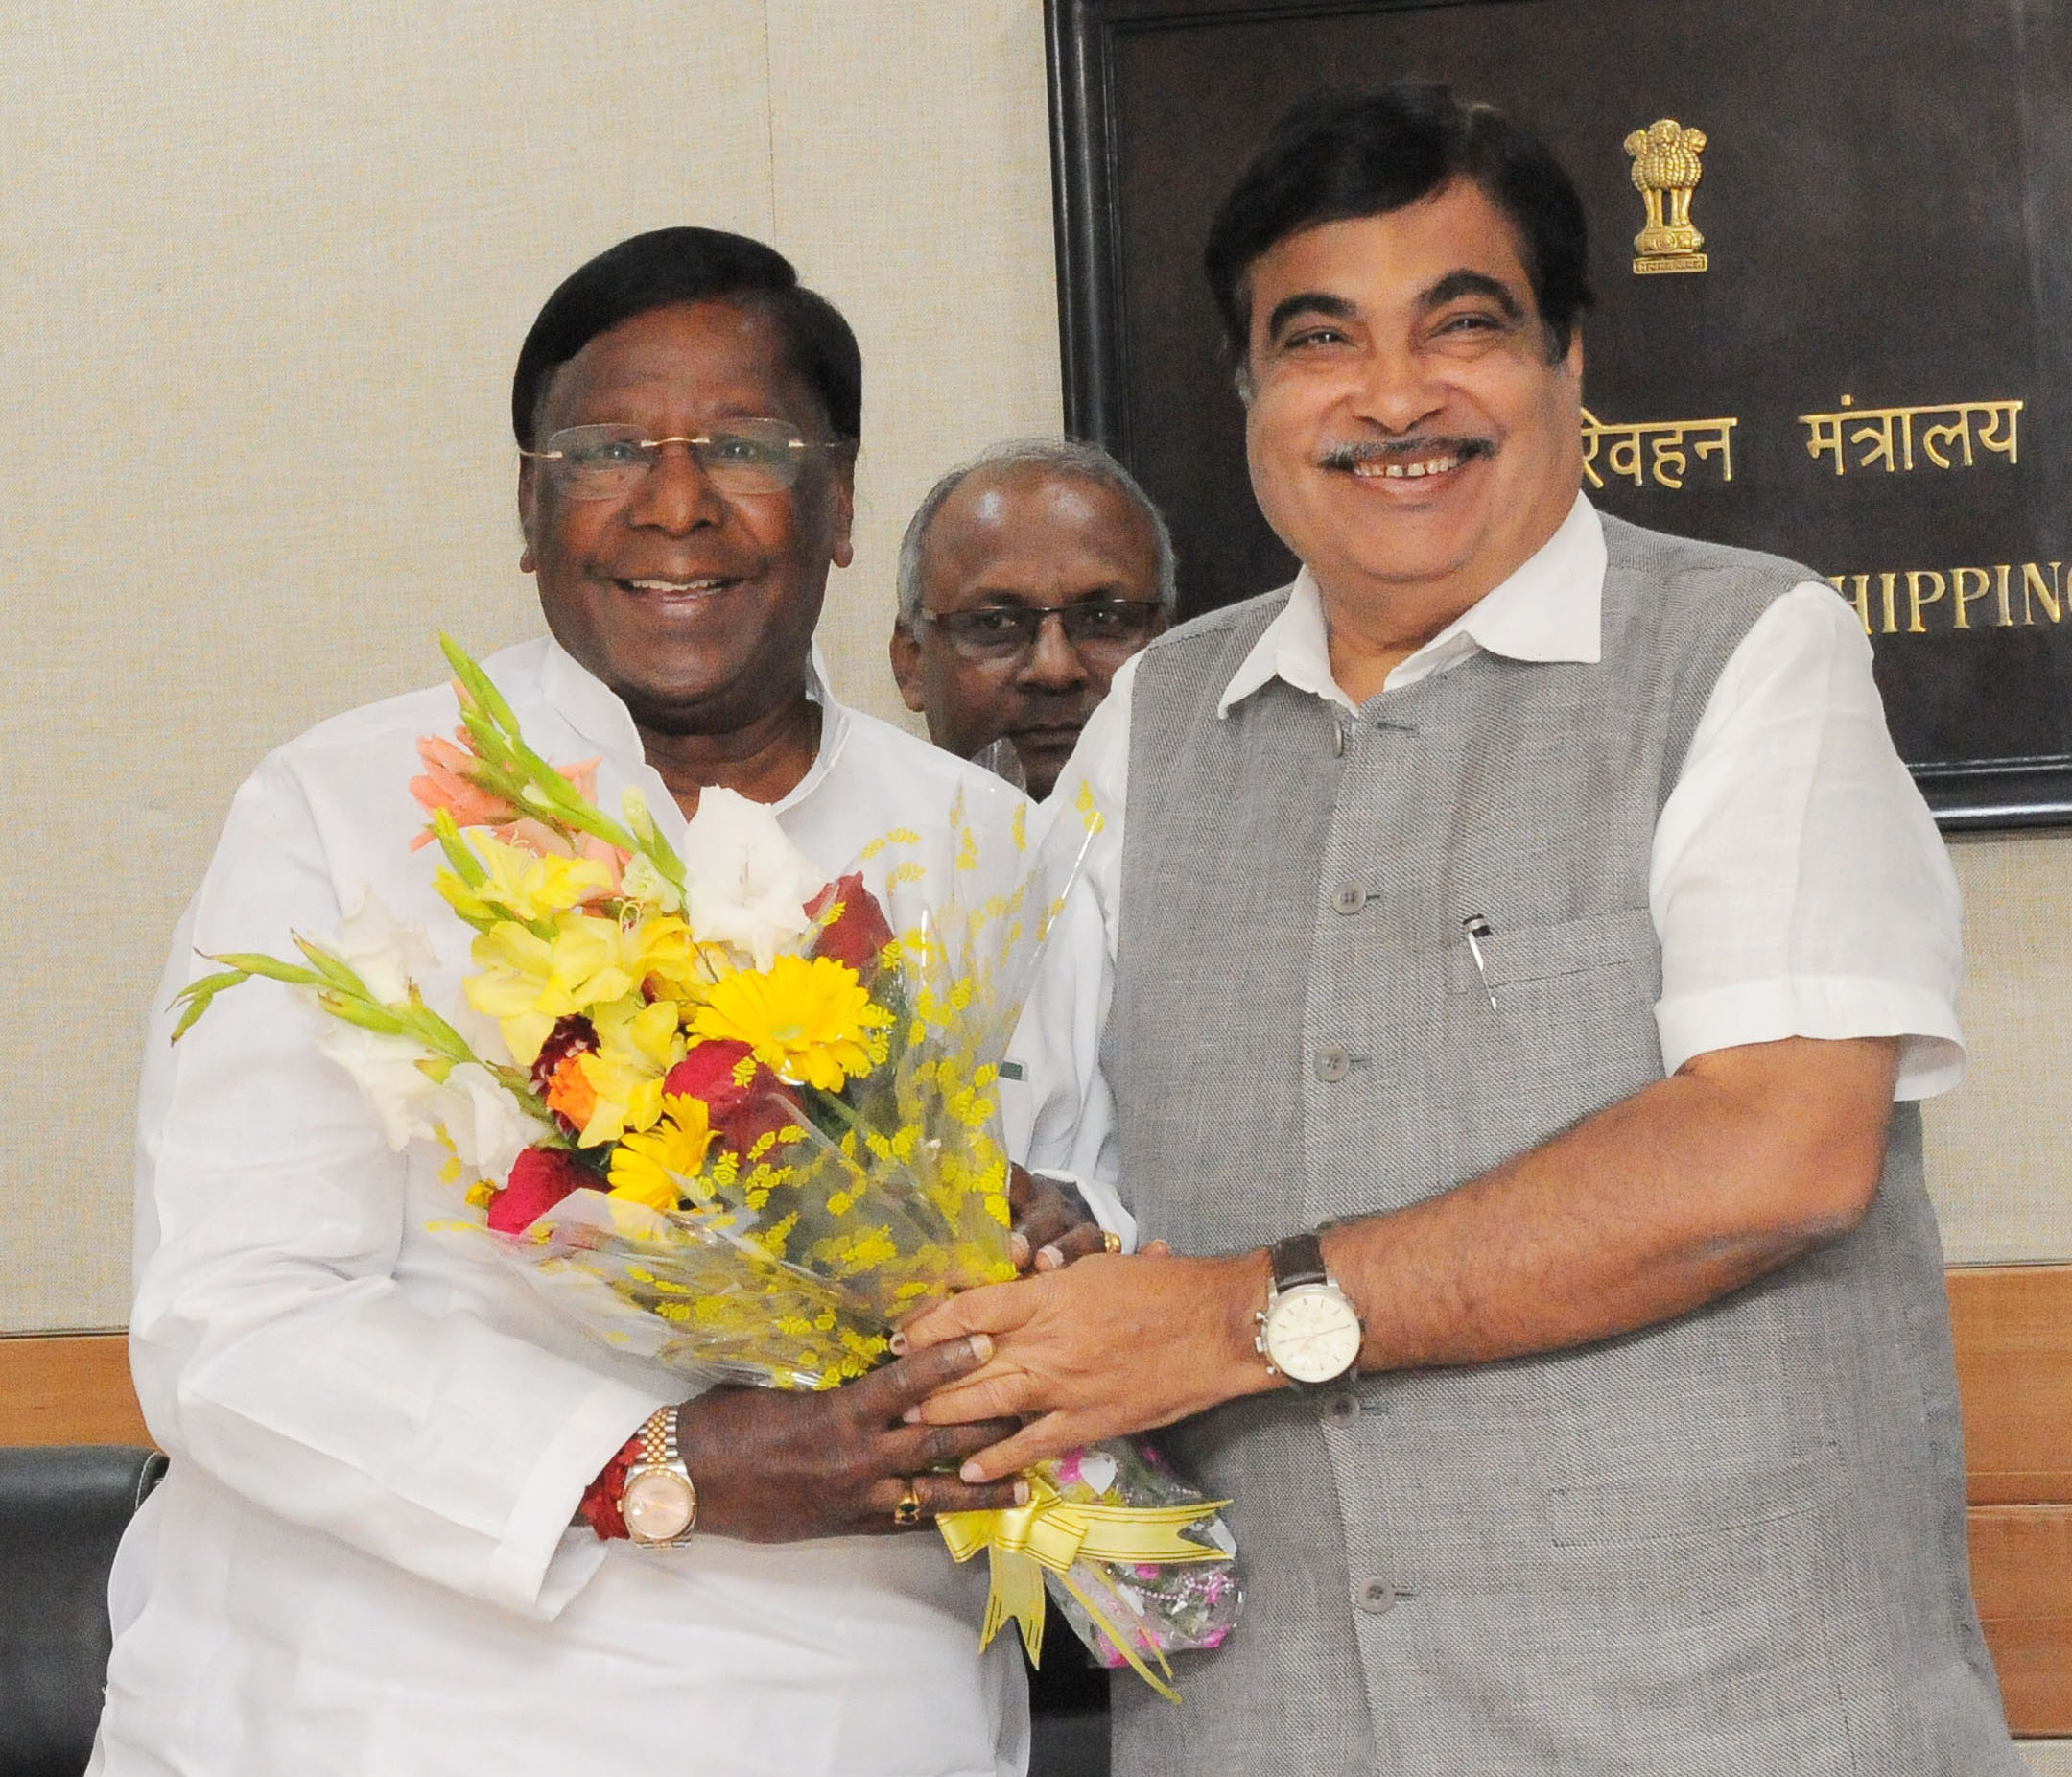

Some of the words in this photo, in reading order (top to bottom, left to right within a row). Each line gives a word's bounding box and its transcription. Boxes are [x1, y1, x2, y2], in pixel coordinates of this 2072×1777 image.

[1577, 402, 1737, 491] रेवहन
[1798, 391, 2028, 478] मंत्रालय
[1825, 559, 2060, 640] IPPIN